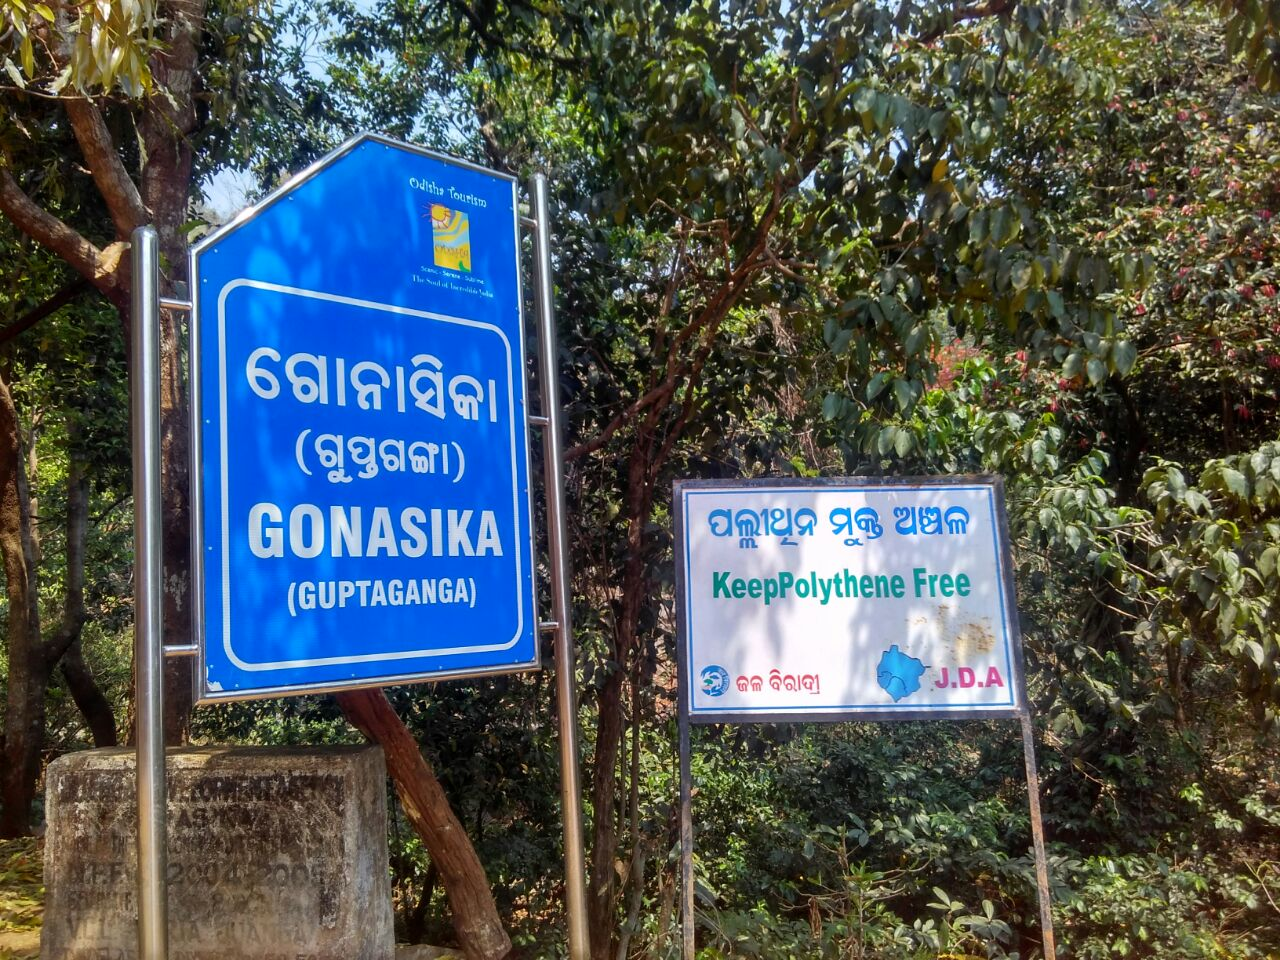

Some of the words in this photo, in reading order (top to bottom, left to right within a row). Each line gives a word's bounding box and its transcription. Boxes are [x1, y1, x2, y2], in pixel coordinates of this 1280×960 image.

[405, 173, 449, 200] Odisha
[445, 180, 491, 213] Tourism
[243, 337, 502, 428] ଗୋନାସିକା
[313, 427, 453, 491] ଗୁପ୍ତଗଙ୍ଗା
[243, 500, 507, 566] GONASIKA
[704, 503, 825, 551] ପଲ୍ଲୀଥୁନ
[823, 500, 890, 555] ମୁକ୍ତ
[888, 497, 973, 539] ଅଞ୍ଚଳ
[296, 574, 473, 613] GUPTAGANGA)
[707, 565, 909, 609] KeepPolythene
[912, 563, 974, 600] Free
[732, 669, 765, 700] ଜଳ
[764, 667, 823, 698] ବିରାଦୀ
[934, 661, 1005, 691] J.D.A